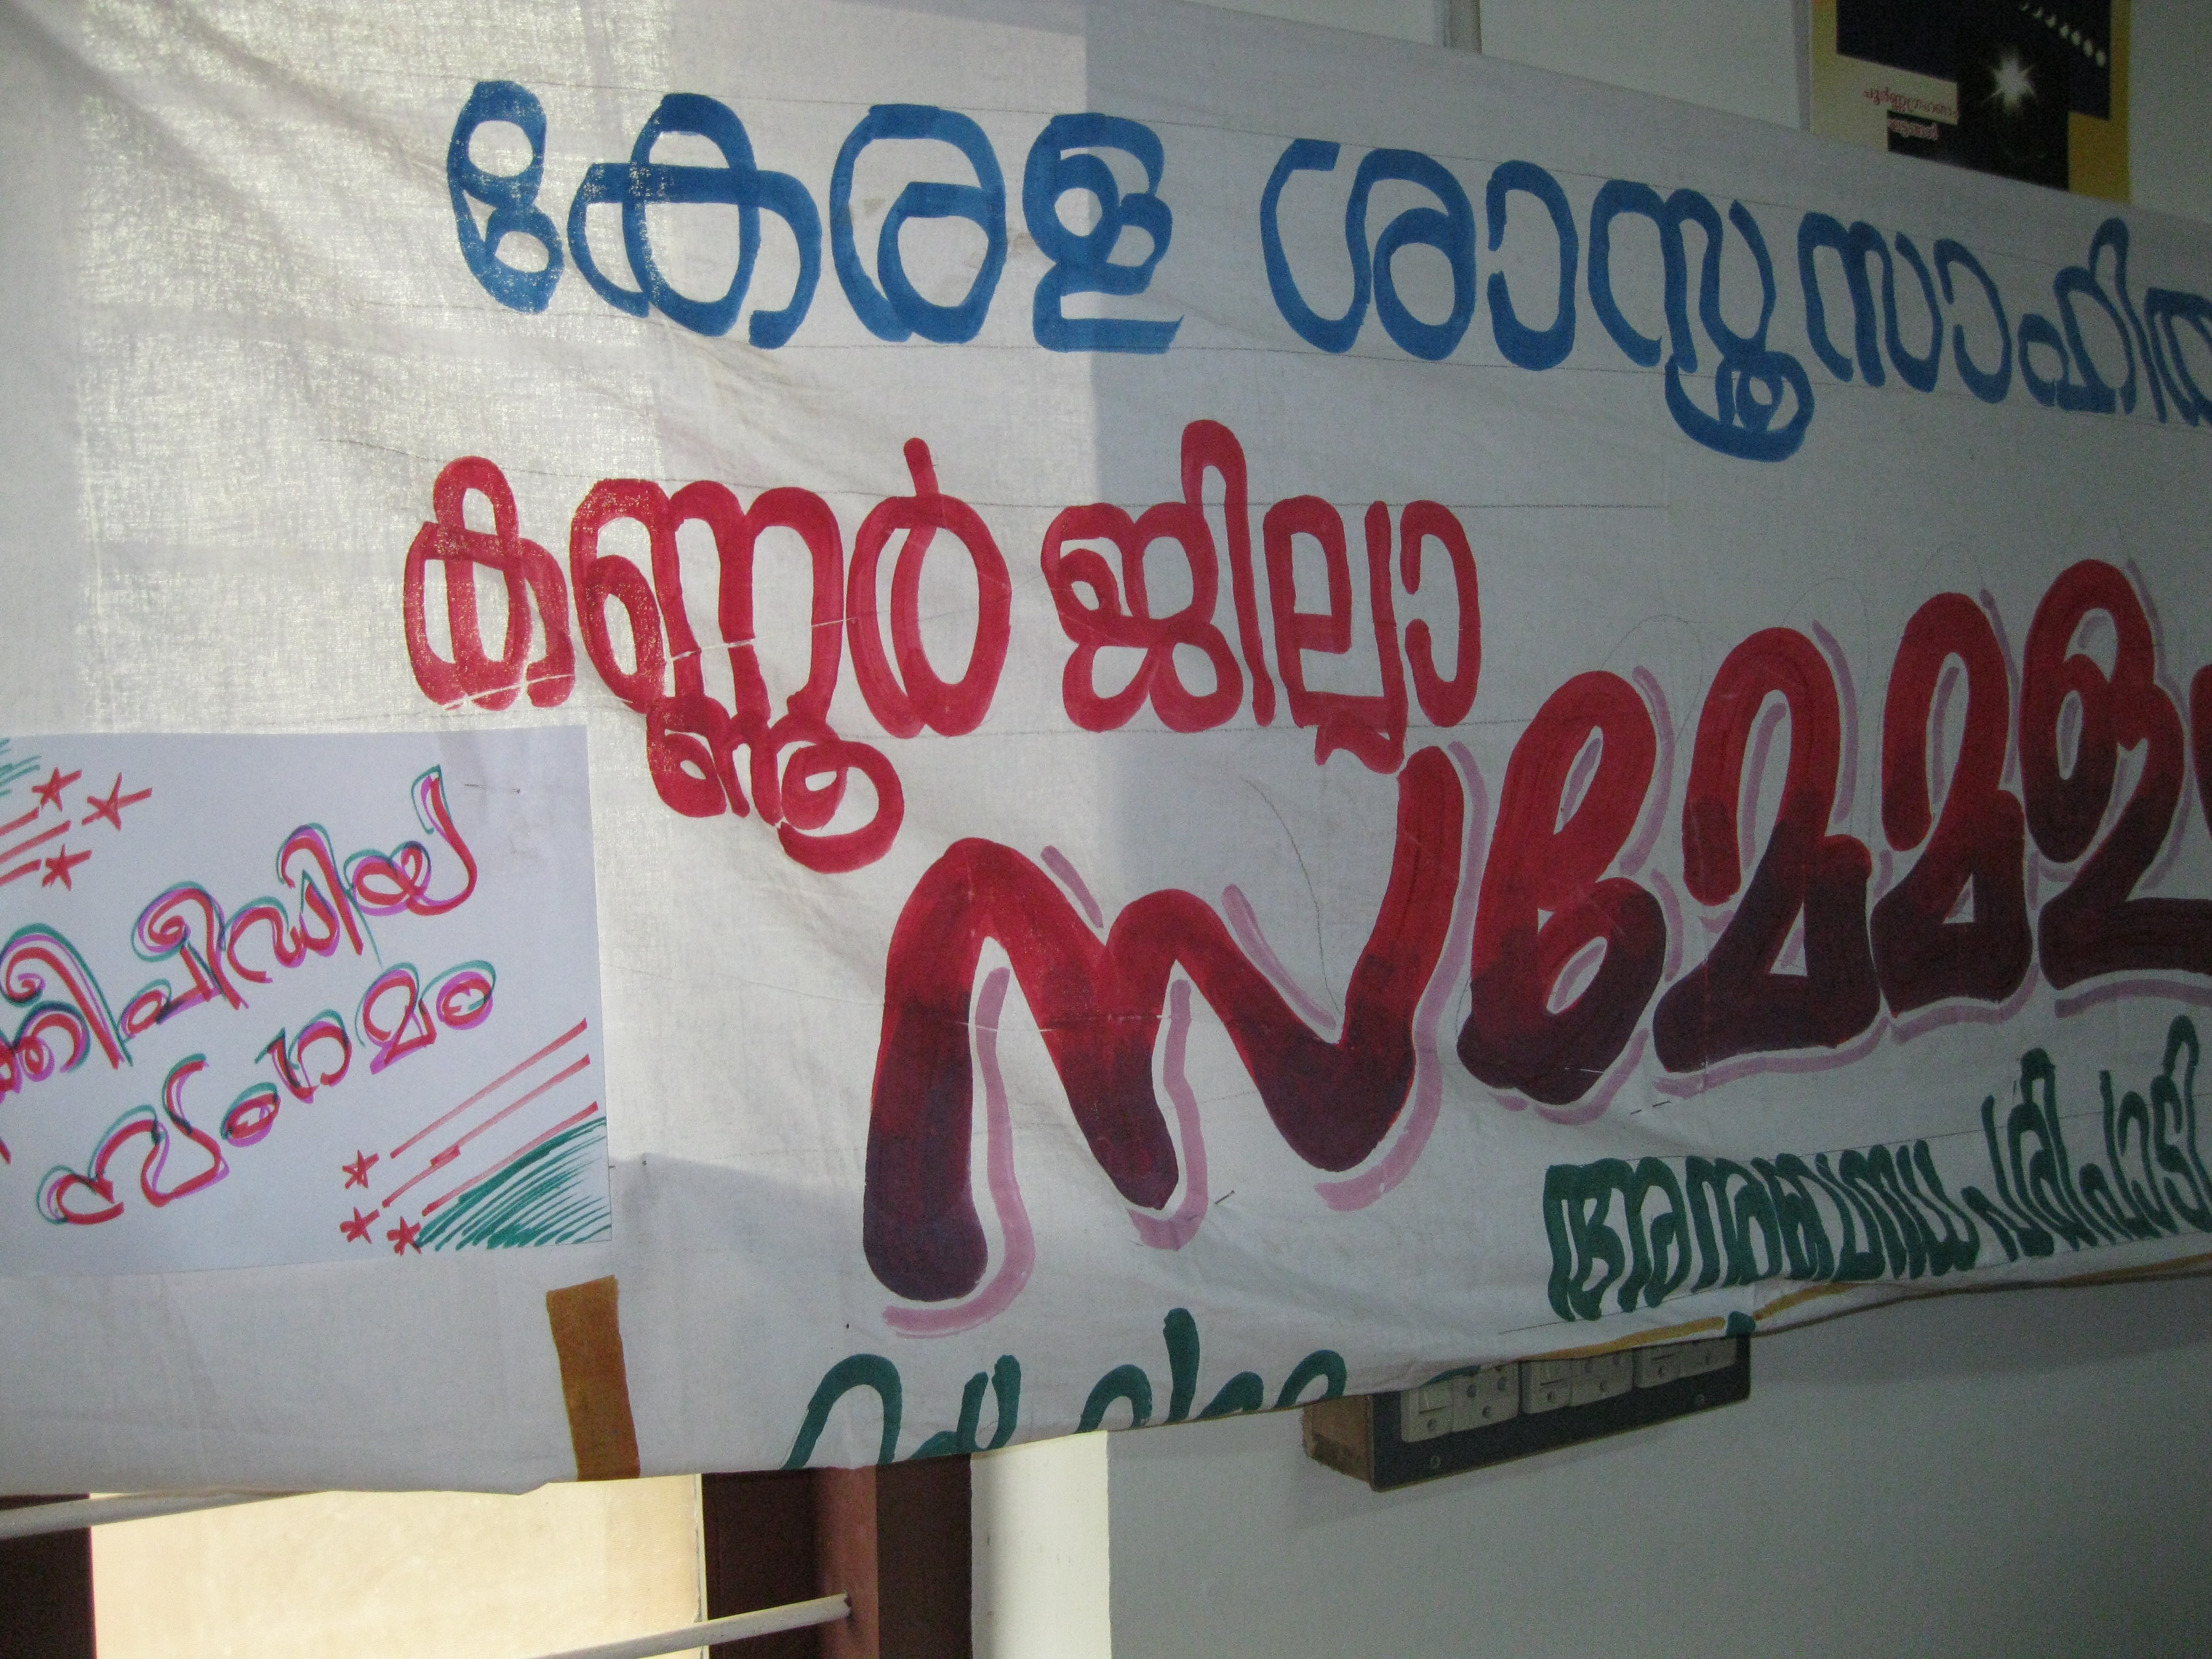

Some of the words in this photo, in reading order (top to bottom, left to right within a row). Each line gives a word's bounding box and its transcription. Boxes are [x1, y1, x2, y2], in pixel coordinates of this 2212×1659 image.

[442, 69, 1191, 361] കേരള
[1245, 127, 2199, 469] ശാസ്തസാഹിത
[393, 430, 1023, 878] കണ്ണൂർ
[1032, 410, 1489, 778] ജില്ലാ
[858, 614, 1793, 1342] സമേ
[1532, 1146, 1801, 1328] അനു
[1786, 1009, 2209, 1291] വനധപരിപാടി